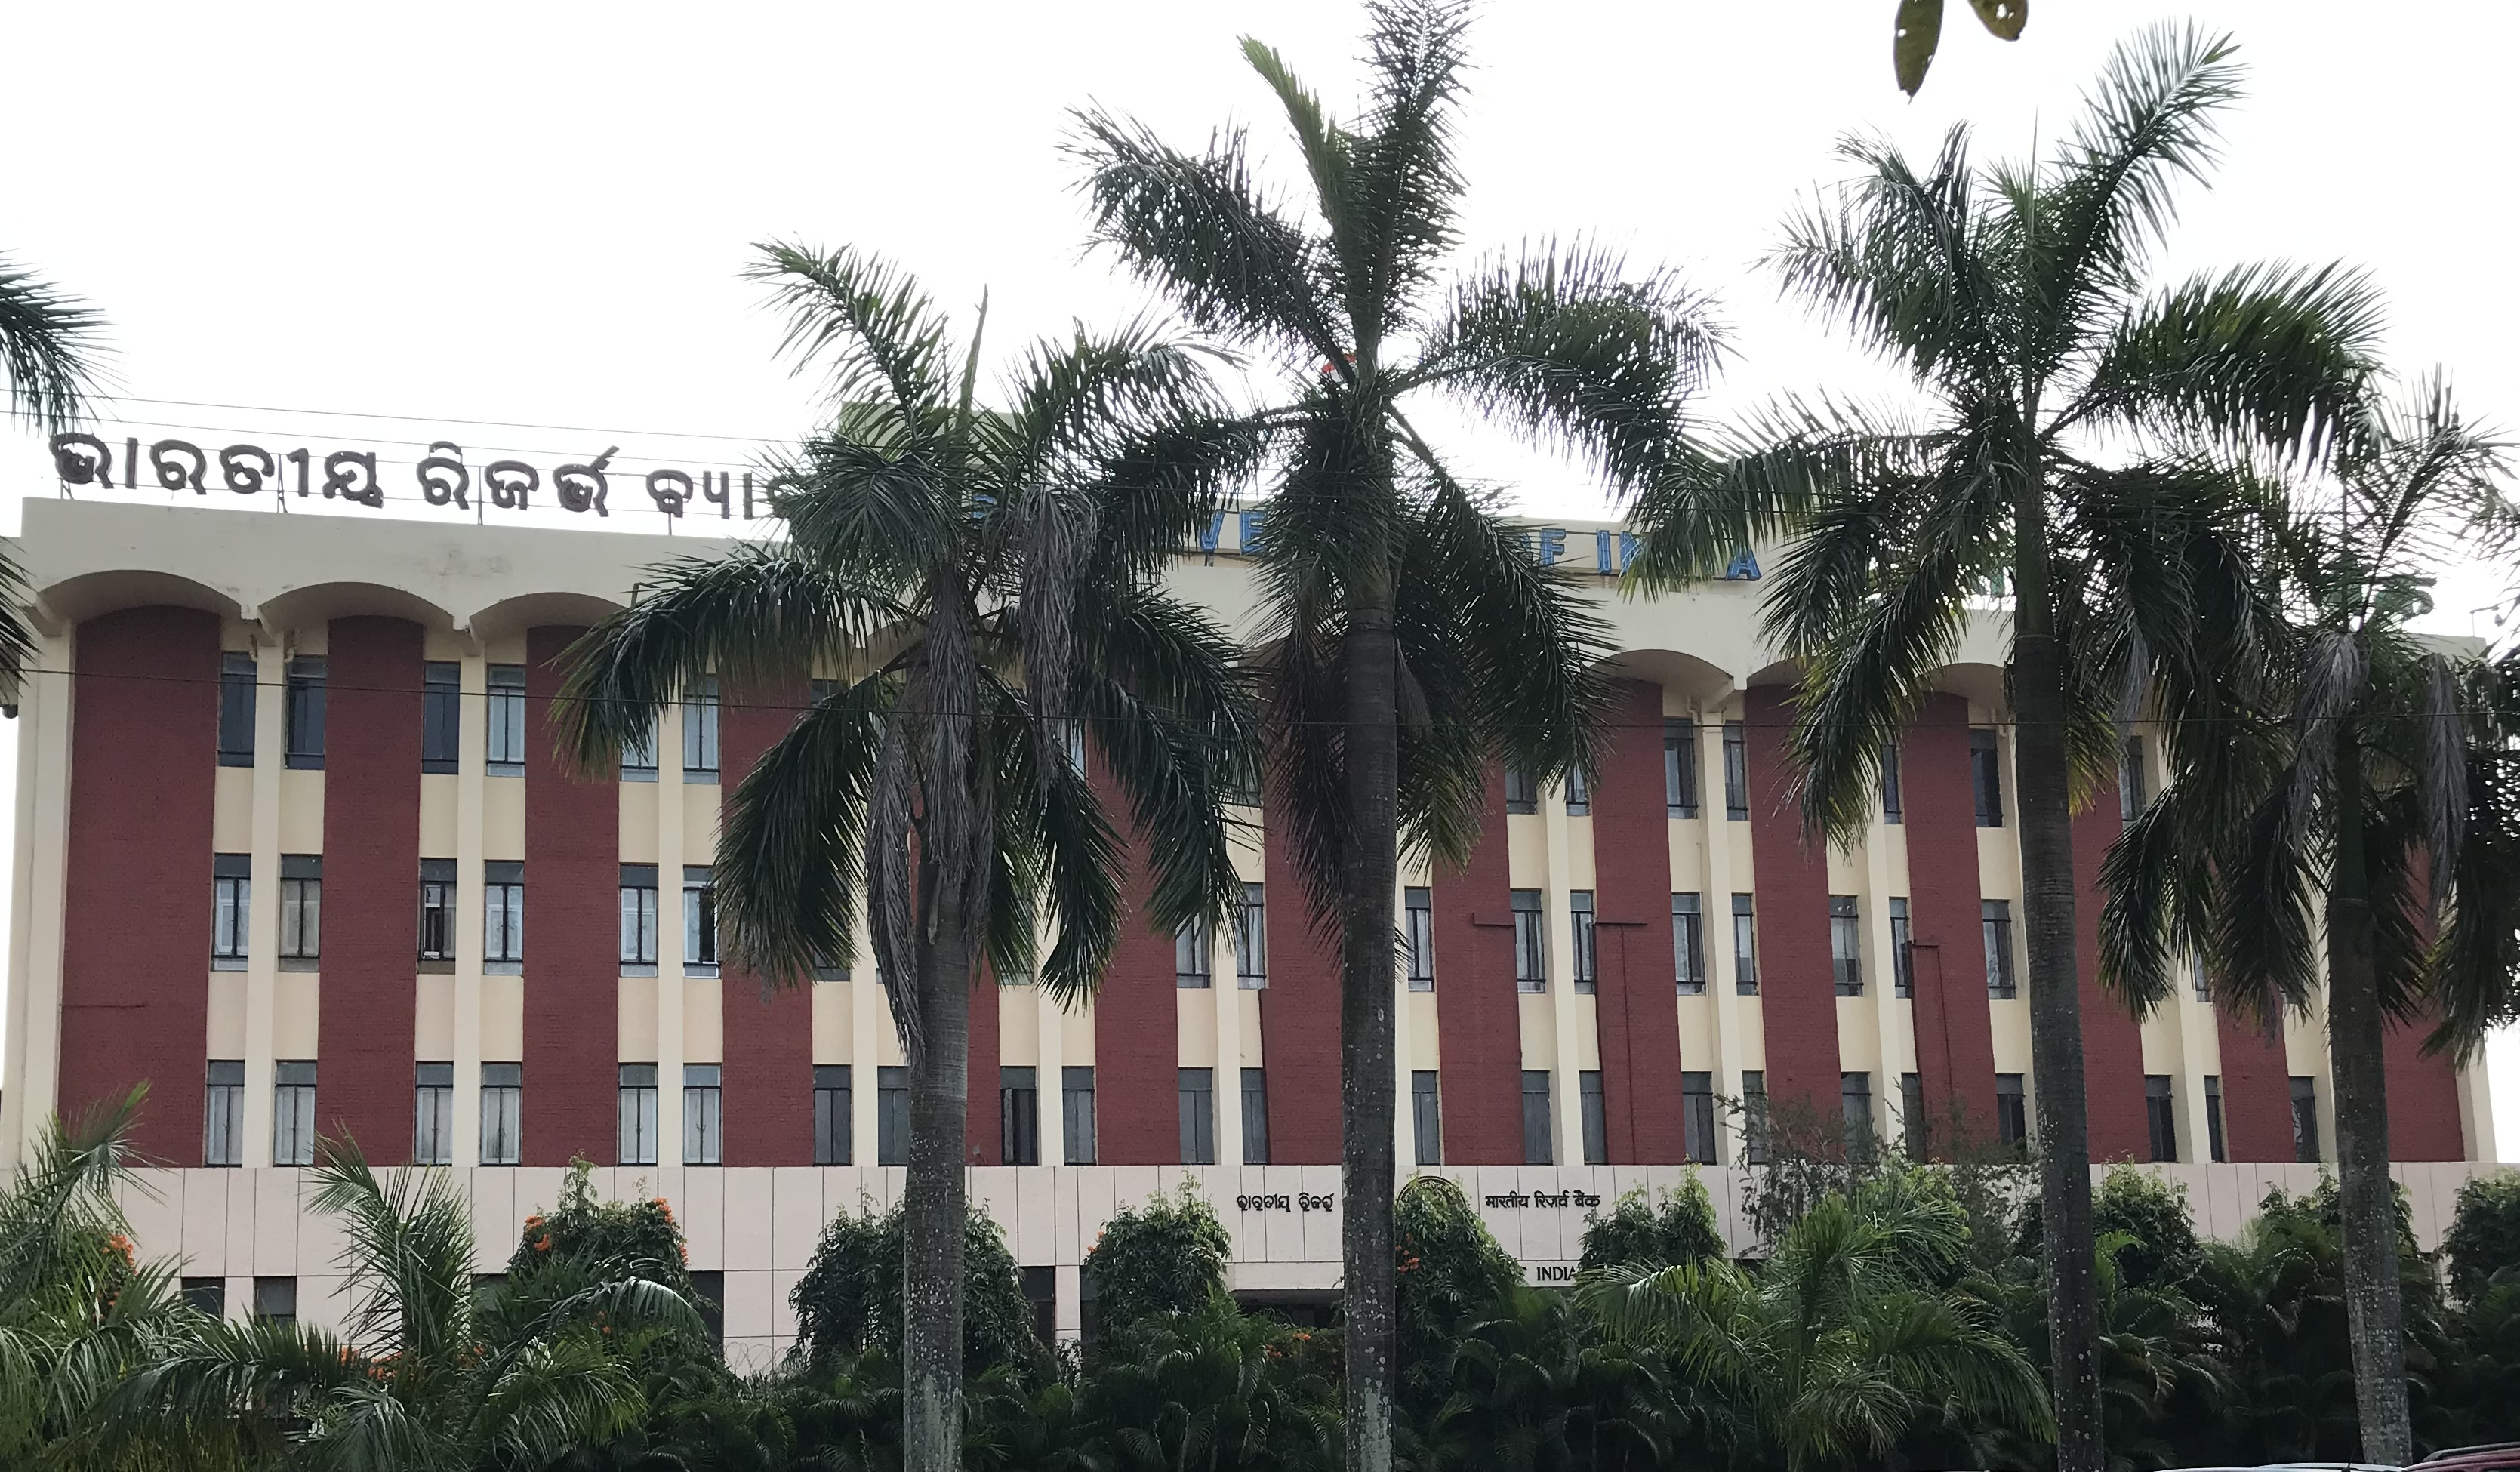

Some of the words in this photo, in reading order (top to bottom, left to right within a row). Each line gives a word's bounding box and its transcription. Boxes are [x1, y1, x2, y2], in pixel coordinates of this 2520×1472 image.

[42, 426, 389, 516] ଭାରତୀୟ
[408, 427, 624, 519] ରିଜର୍ଭ
[644, 460, 780, 528] ବ୍ୟା
[1234, 1186, 1293, 1215] ଭାରତୀୟ
[1291, 1187, 1337, 1215] ରିଜର୍ଭ
[1480, 1187, 1533, 1212] भारतीय
[1527, 1181, 1571, 1210] रिज़र्व
[1567, 1184, 1604, 1212] बैंक
[1530, 1256, 1581, 1288] INDIA